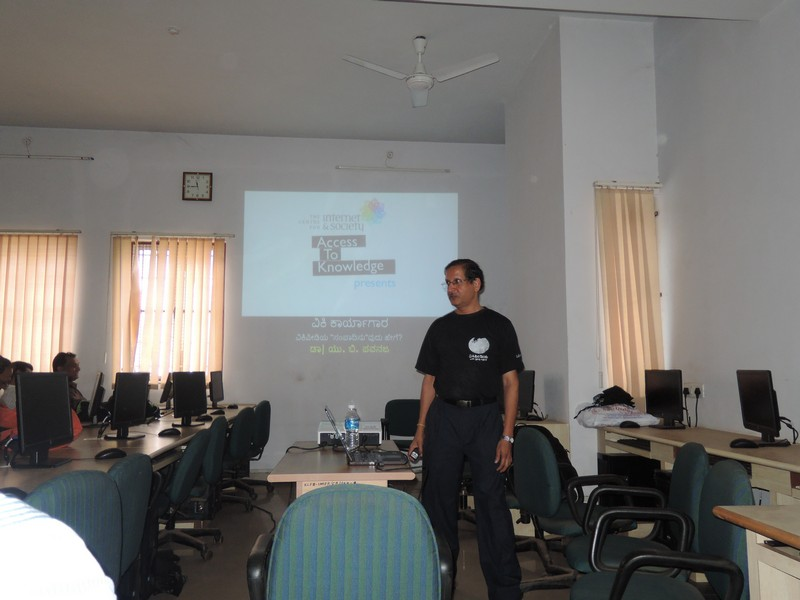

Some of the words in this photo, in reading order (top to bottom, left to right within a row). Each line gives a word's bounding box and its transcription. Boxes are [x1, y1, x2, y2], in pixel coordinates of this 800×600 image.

[309, 233, 361, 254] Access
[319, 245, 347, 263] To
[313, 253, 391, 278] Knowledge
[348, 278, 401, 295] presents
[304, 311, 333, 333] ಏಕಿ
[326, 313, 393, 332] ಕಾಯಾ೯ಗಾರ
[288, 325, 332, 347] ಎಕಿಪೀಡಿಯ
[302, 341, 329, 361] ಡಾ।
[323, 341, 348, 358] ಯು.